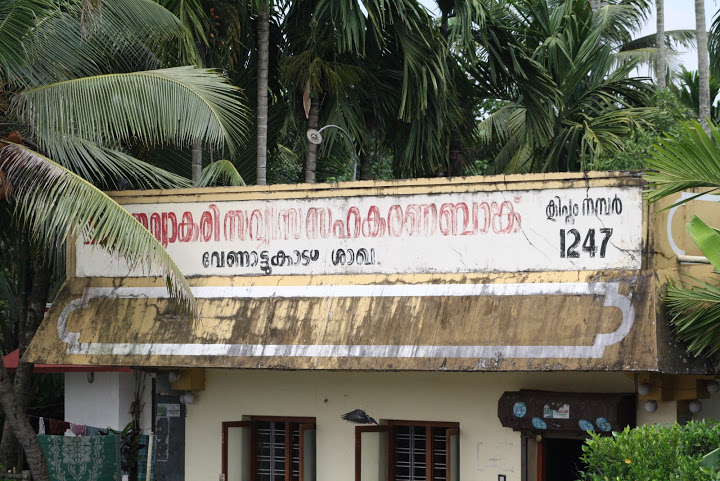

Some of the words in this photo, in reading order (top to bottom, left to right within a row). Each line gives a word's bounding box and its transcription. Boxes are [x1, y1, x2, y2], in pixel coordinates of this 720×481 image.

[127, 198, 228, 255] വാകരി
[197, 240, 322, 281] വേണാട്ടുകാടം
[325, 245, 383, 271] ശാഖ
[221, 195, 527, 249] സമ്യാസസഹകരണബാക്
[539, 182, 626, 231] കിപ്തം നമ്പർ
[555, 221, 614, 266] 1247